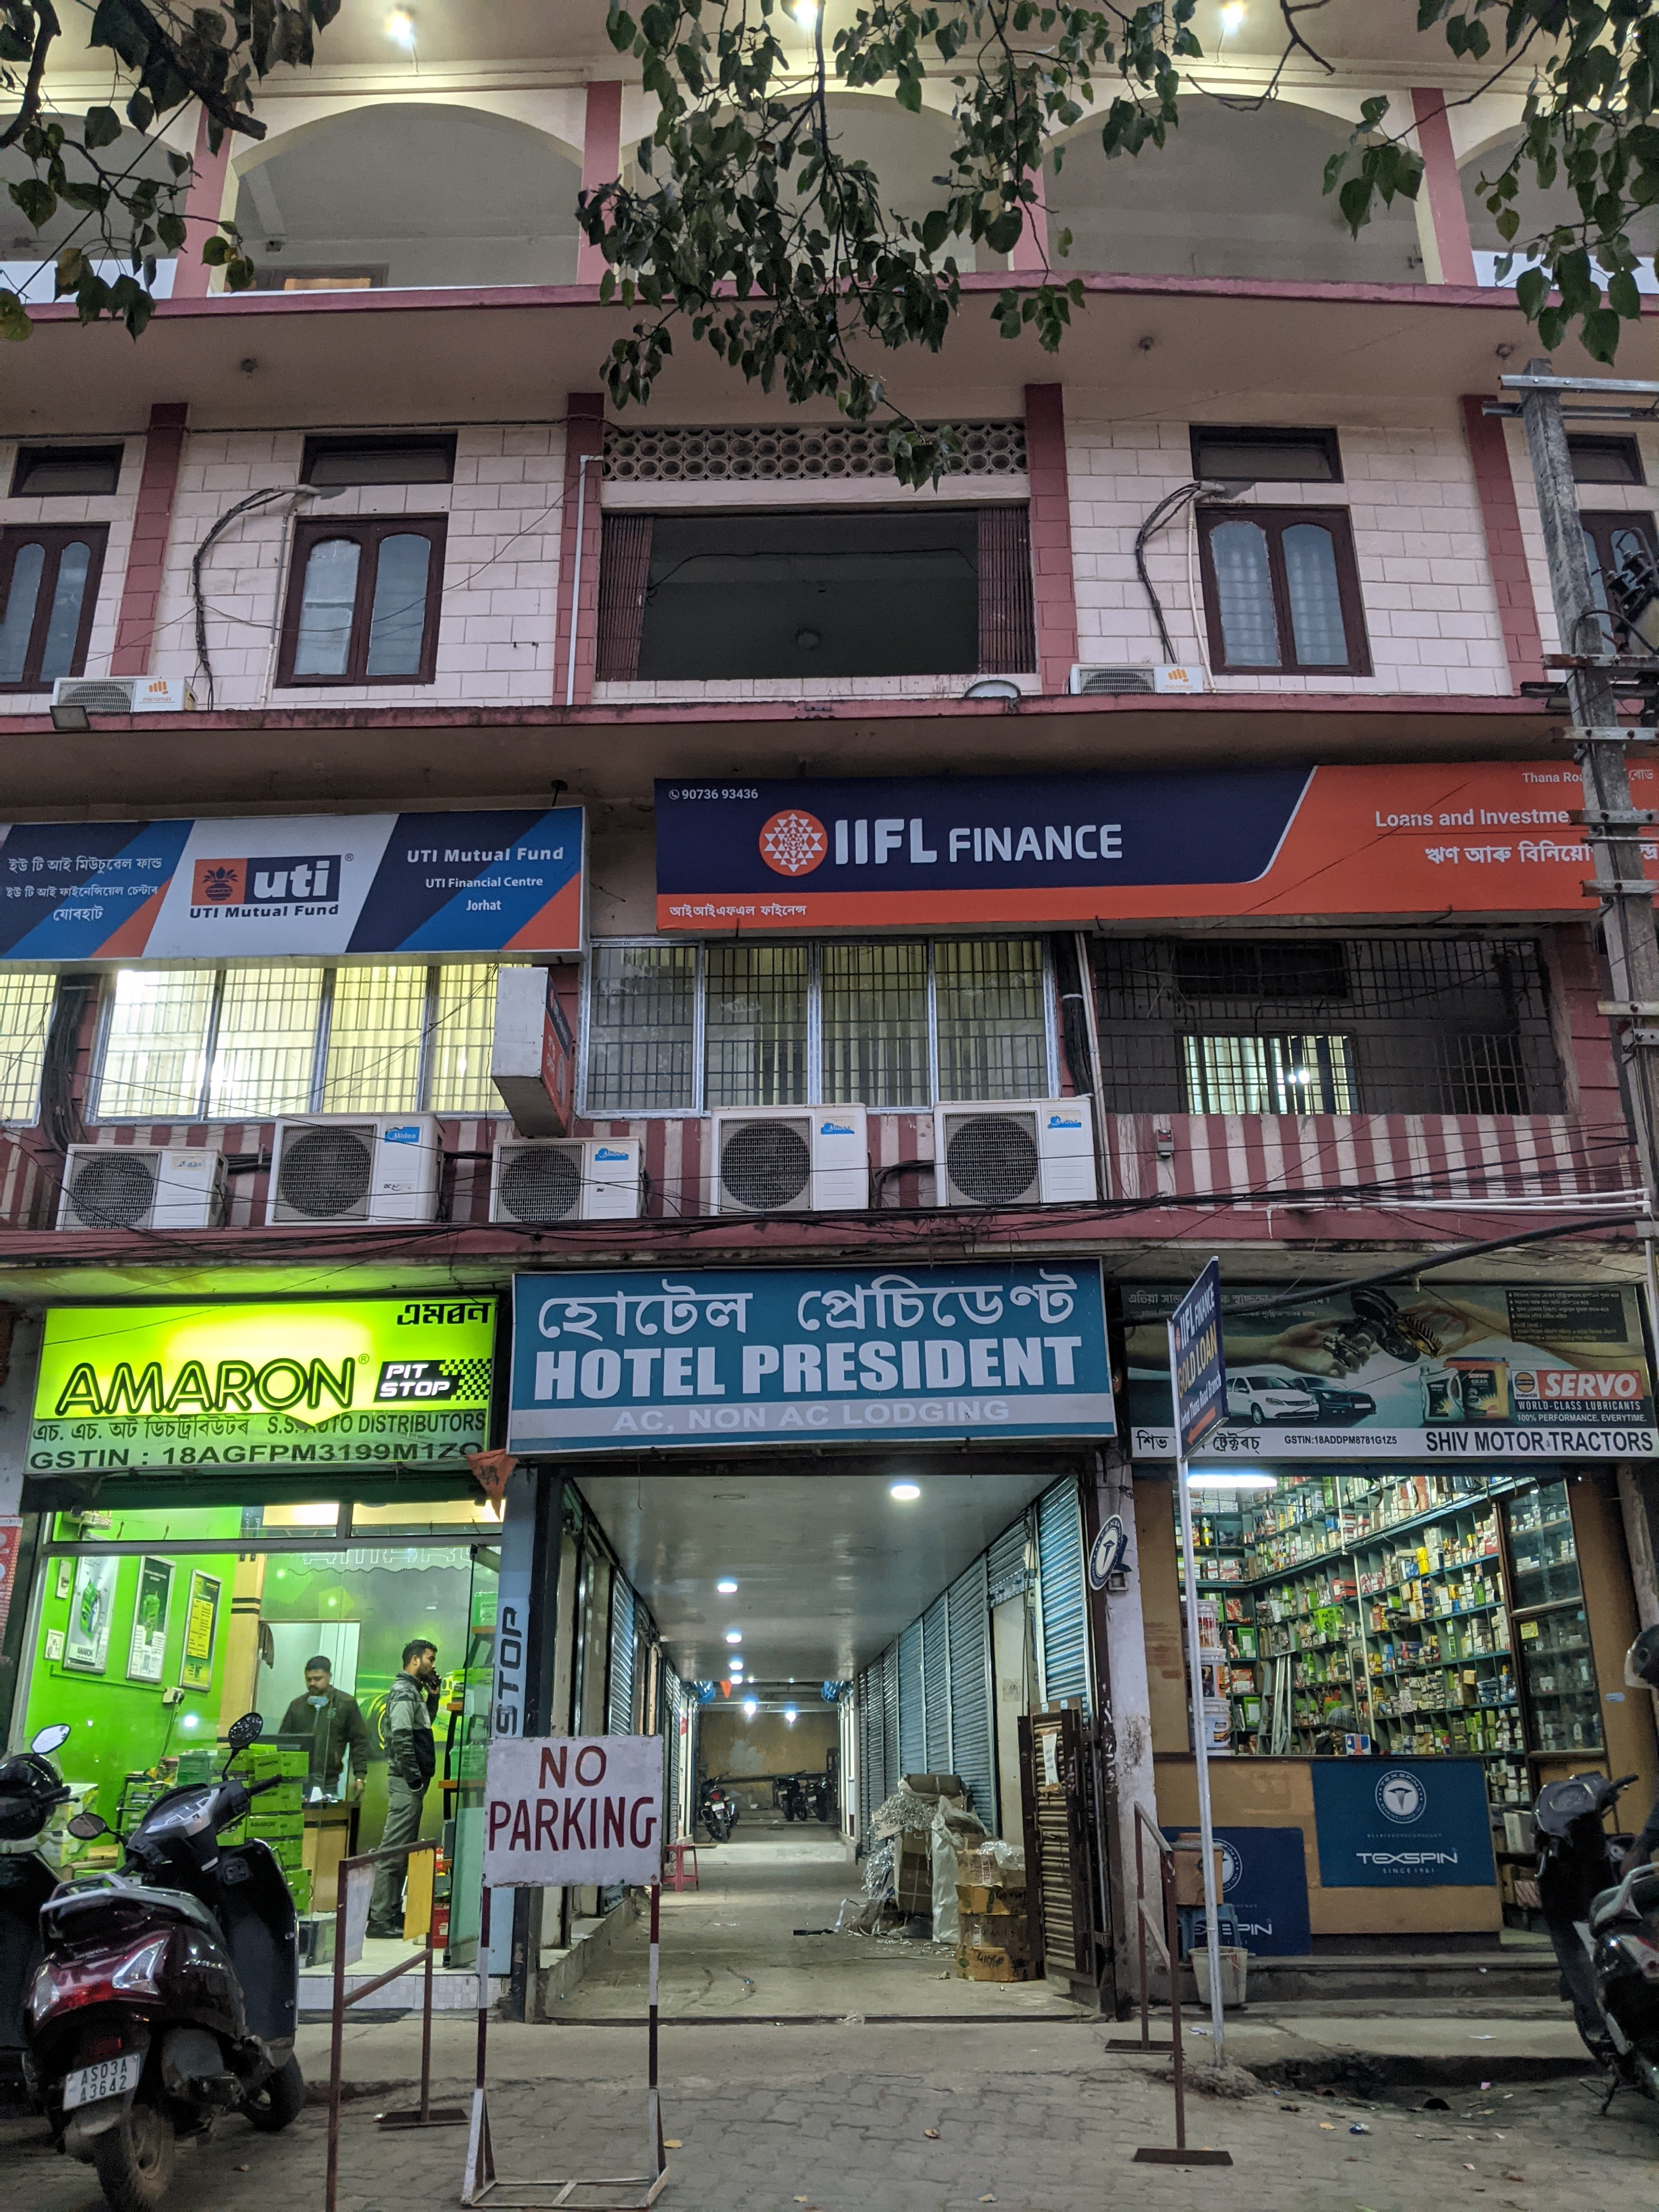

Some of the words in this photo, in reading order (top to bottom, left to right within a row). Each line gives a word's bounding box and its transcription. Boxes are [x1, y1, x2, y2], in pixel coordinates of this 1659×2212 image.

[1518, 763, 1564, 789] Thana
[669, 783, 760, 803] 9073693436
[1372, 808, 1438, 833] Loans
[1436, 804, 1480, 832] and
[1475, 800, 1571, 828] Investme
[5, 850, 30, 876] ইউ
[27, 851, 49, 874] টি
[46, 852, 76, 875] আই
[72, 851, 135, 876] মিউচুৱেল
[134, 854, 165, 873] ফান্ড
[405, 843, 441, 866] UTI
[441, 844, 513, 865] Mutual
[516, 841, 566, 863] Fund
[831, 814, 940, 867] IIFL
[947, 821, 1126, 865] FINANCE
[1420, 839, 1462, 870] ঋণ
[1457, 840, 1515, 868] আৰু
[1517, 836, 1592, 865] বিনিয়ো
[1, 882, 25, 901] ইউ
[19, 881, 38, 901] টি
[35, 883, 59, 903] আই
[45, 901, 106, 930] যোৰহাট
[58, 881, 126, 900] ফাইনেন্সিয়েল
[126, 881, 161, 898] চেন্টাৰ
[188, 902, 221, 922] UTI
[223, 902, 291, 920] Mutual
[249, 855, 333, 903] uti
[291, 901, 341, 919] Fund
[424, 874, 448, 892] UTI
[446, 874, 504, 892] Financial
[465, 896, 504, 913] Jorhat
[501, 873, 545, 890] Centre
[664, 900, 758, 920] আইআইএফএল
[757, 900, 809, 919] ফাইনেন্স
[393, 1295, 496, 1334] এমৰন
[529, 1274, 759, 1346] হোটেল
[796, 1266, 1081, 1334] প্ৰেচিডেণ্ট
[49, 1355, 359, 1419] AMARON
[382, 1357, 431, 1381] PIT
[378, 1373, 455, 1401] STOP
[529, 1338, 728, 1403] HOTEL
[737, 1330, 1086, 1399] PRESIDENT
[1544, 1367, 1641, 1400] SERVO
[31, 1415, 70, 1446] এচ.
[27, 1444, 133, 1472] GSTIN
[66, 1417, 108, 1446] এচ.
[106, 1410, 143, 1443] অট
[138, 1407, 252, 1444] ডিচট্ৰিবিউটৰ
[161, 1438, 485, 1467] 18AGFPM3199M1ZO
[356, 1409, 492, 1436] DISTRIBUTORS
[606, 1404, 675, 1435] AC,
[685, 1399, 770, 1434] NON
[776, 1401, 834, 1432] AC
[838, 1396, 1013, 1429] LODGING
[1130, 1425, 1173, 1452] শিভ
[1211, 1426, 1265, 1457] ট্ৰেক্টৰচ্
[1280, 1430, 1315, 1447] GSTIN:
[1313, 1431, 1400, 1447] 18ADDPM8781G1Z5
[1421, 1425, 1471, 1455] SHIV
[1471, 1426, 1547, 1453] MOTOR
[1515, 1410, 1540, 1425] 100%
[1517, 1396, 1552, 1415] WORLD-
[1550, 1396, 1584, 1413] CLASS
[1536, 1411, 1602, 1425] PERFORMANCE.
[1545, 1426, 1657, 1453] TRACTORS
[1583, 1395, 1644, 1413] LUBRICANTS
[1598, 1409, 1649, 1424] EVERYTIME.
[530, 1733, 608, 1793] NO
[1377, 1769, 1423, 1790] TEXSPIN
[483, 1791, 660, 1854] PARKING
[1355, 1847, 1461, 1868] TEXSPIN